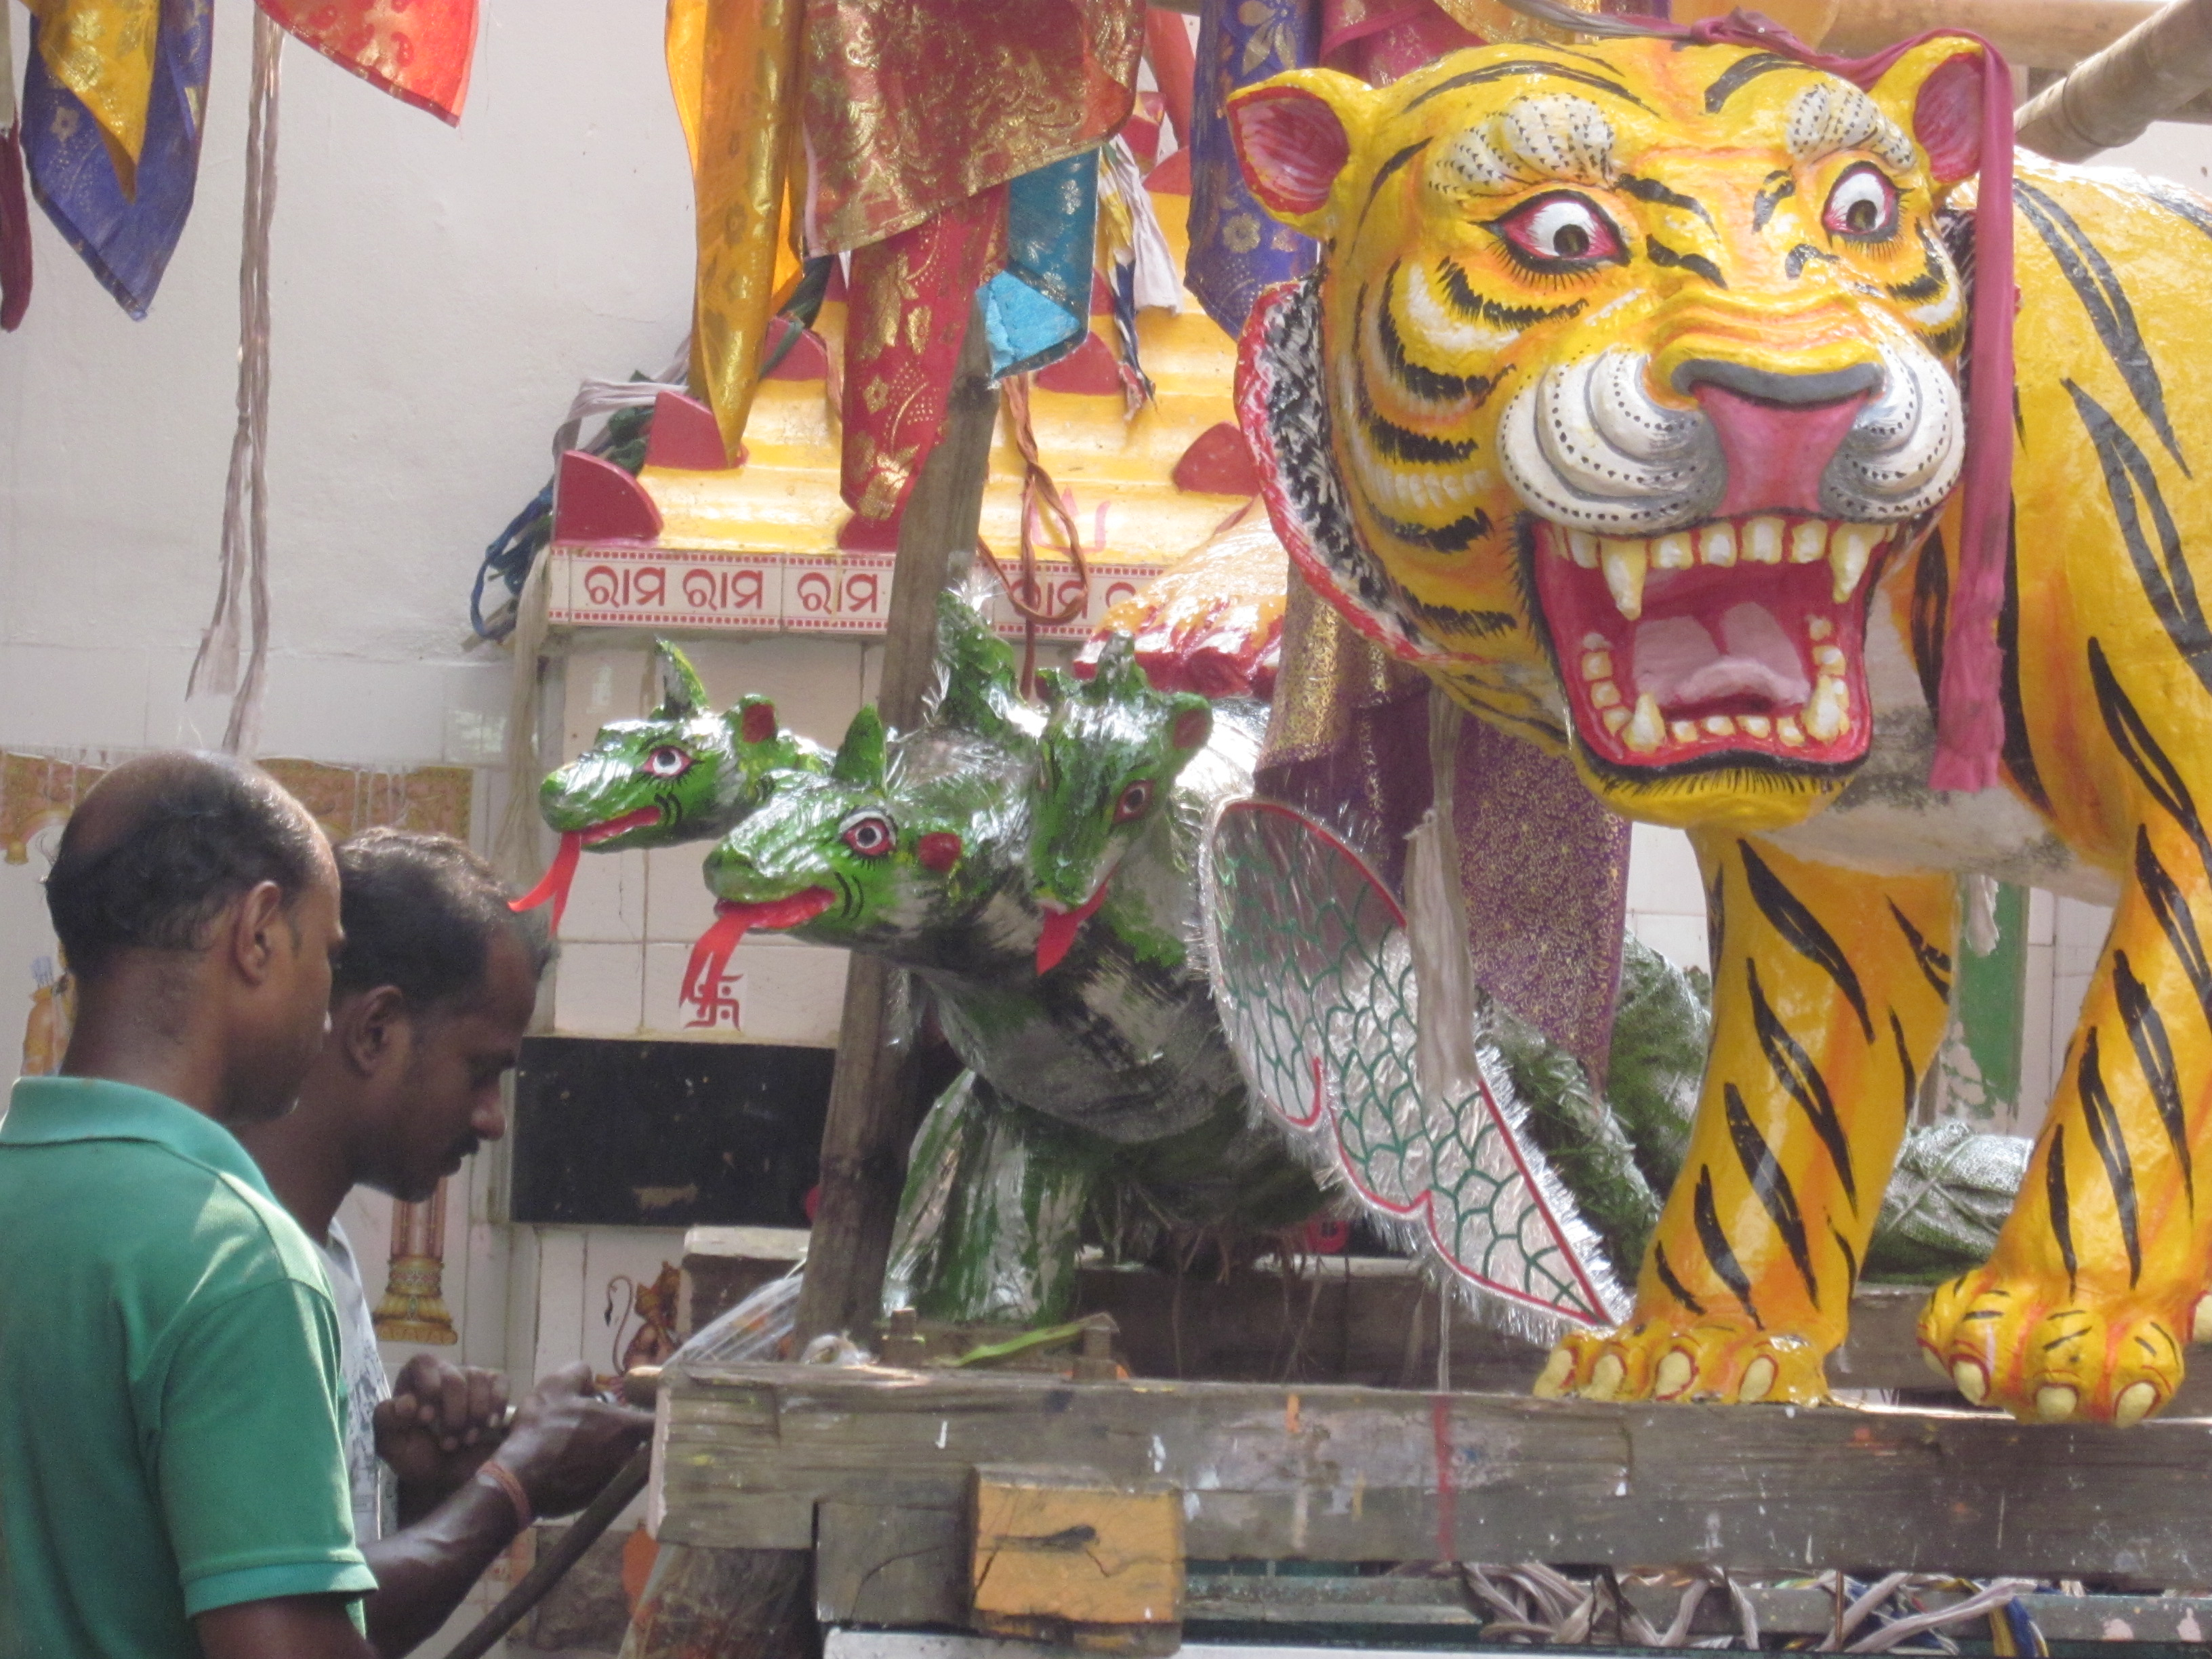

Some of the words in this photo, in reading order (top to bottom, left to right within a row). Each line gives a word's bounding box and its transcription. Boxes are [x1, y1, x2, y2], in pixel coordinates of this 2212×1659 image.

[573, 557, 667, 613] ରାମ
[678, 565, 765, 615] ରାମ
[783, 559, 883, 620] ରାମ